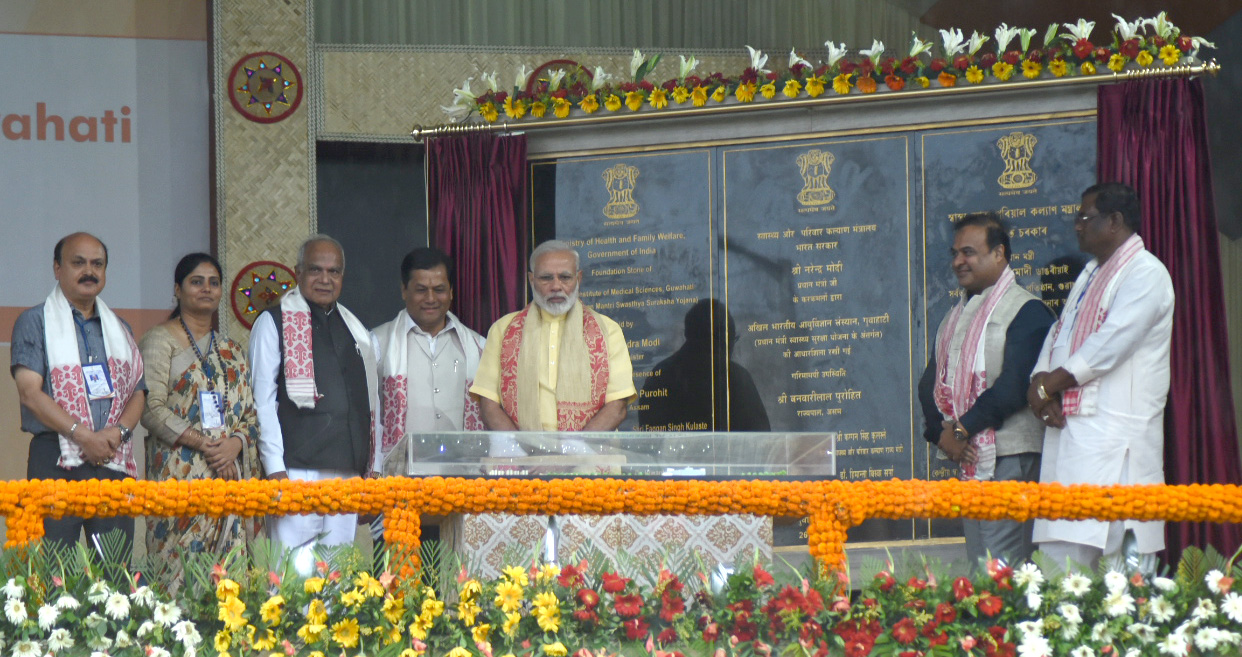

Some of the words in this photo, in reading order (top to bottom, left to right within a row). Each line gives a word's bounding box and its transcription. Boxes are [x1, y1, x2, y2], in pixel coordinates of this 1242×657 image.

[0, 92, 136, 145] ahati
[993, 201, 1031, 223] পৰিয়াল
[1021, 199, 1063, 223] কল্যাণ
[580, 229, 599, 249] of
[589, 232, 622, 249] Health
[581, 241, 632, 263] Government
[615, 227, 638, 247] and
[625, 243, 645, 261] of
[628, 225, 662, 247] Family
[635, 240, 661, 259] India
[654, 224, 687, 242] Welfare,
[752, 221, 785, 247] स्वास्थ्य
[777, 221, 801, 244] और
[791, 235, 818, 257] भारत
[795, 219, 828, 244] परिवार
[810, 236, 843, 252] सरकार
[817, 219, 855, 240] कल्याण
[848, 216, 882, 236] मंत्रालय
[1014, 220, 1053, 240] চৰকাৰ
[592, 296, 621, 315] Mantri
[586, 261, 632, 281] FoundationSt
[607, 279, 640, 301] Medical
[612, 296, 650, 312] SwasthyaS
[619, 261, 649, 281] Stone
[639, 262, 657, 277] of
[629, 276, 667, 299] Sciences,
[640, 293, 681, 311] Suraksha
[660, 276, 702, 297] Guwahati
[787, 290, 804, 307] के
[786, 256, 809, 279] श्री
[789, 273, 818, 295] प्रधान
[796, 259, 827, 278] नरेन्द्र
[793, 283, 832, 308] करकमलों
[807, 270, 834, 293] मंत्री
[817, 255, 848, 274] मोदी
[825, 267, 846, 291] जी
[825, 287, 850, 305] द्वारा
[1020, 274, 1058, 296] পতিষ্ঠান,
[1029, 254, 1075, 281] ডাঙৰীয়াই
[633, 331, 663, 352] Modi
[741, 317, 775, 335] अखिल
[750, 329, 779, 349] (प्रधान
[771, 328, 791, 349] मंत्री
[766, 312, 805, 339] भारतीय
[775, 342, 797, 363] की
[786, 327, 813, 348] स्वास्थ्य
[789, 340, 829, 364] आधारशिला
[796, 309, 837, 335] आयुर्विज्ञान
[804, 328, 832, 347] सुरक्षा
[825, 337, 847, 363] रखी
[825, 327, 853, 347] योजना
[835, 339, 856, 359] गई
[827, 306, 866, 335] संस्थान,
[841, 322, 865, 346] ना के
[853, 326, 885, 343] अंतर्गत)
[855, 306, 899, 329] गुवाहाटी
[783, 361, 822, 383] गरिमामयी
[816, 359, 851, 382] उपस्थिति
[635, 381, 673, 403] Purohit
[769, 381, 795, 406] श्री
[783, 385, 836, 406] बनवारीलाल
[829, 383, 868, 407] पुरोहित
[791, 401, 827, 421] राज्यपाल,
[820, 402, 847, 422] असम
[662, 415, 689, 436] SinghK
[681, 416, 713, 436] Kulaste
[831, 424, 851, 447] श्री
[839, 425, 863, 445] फग्गन सिं
[852, 422, 875, 450] न सिंह कु
[864, 425, 889, 445] कुलालं